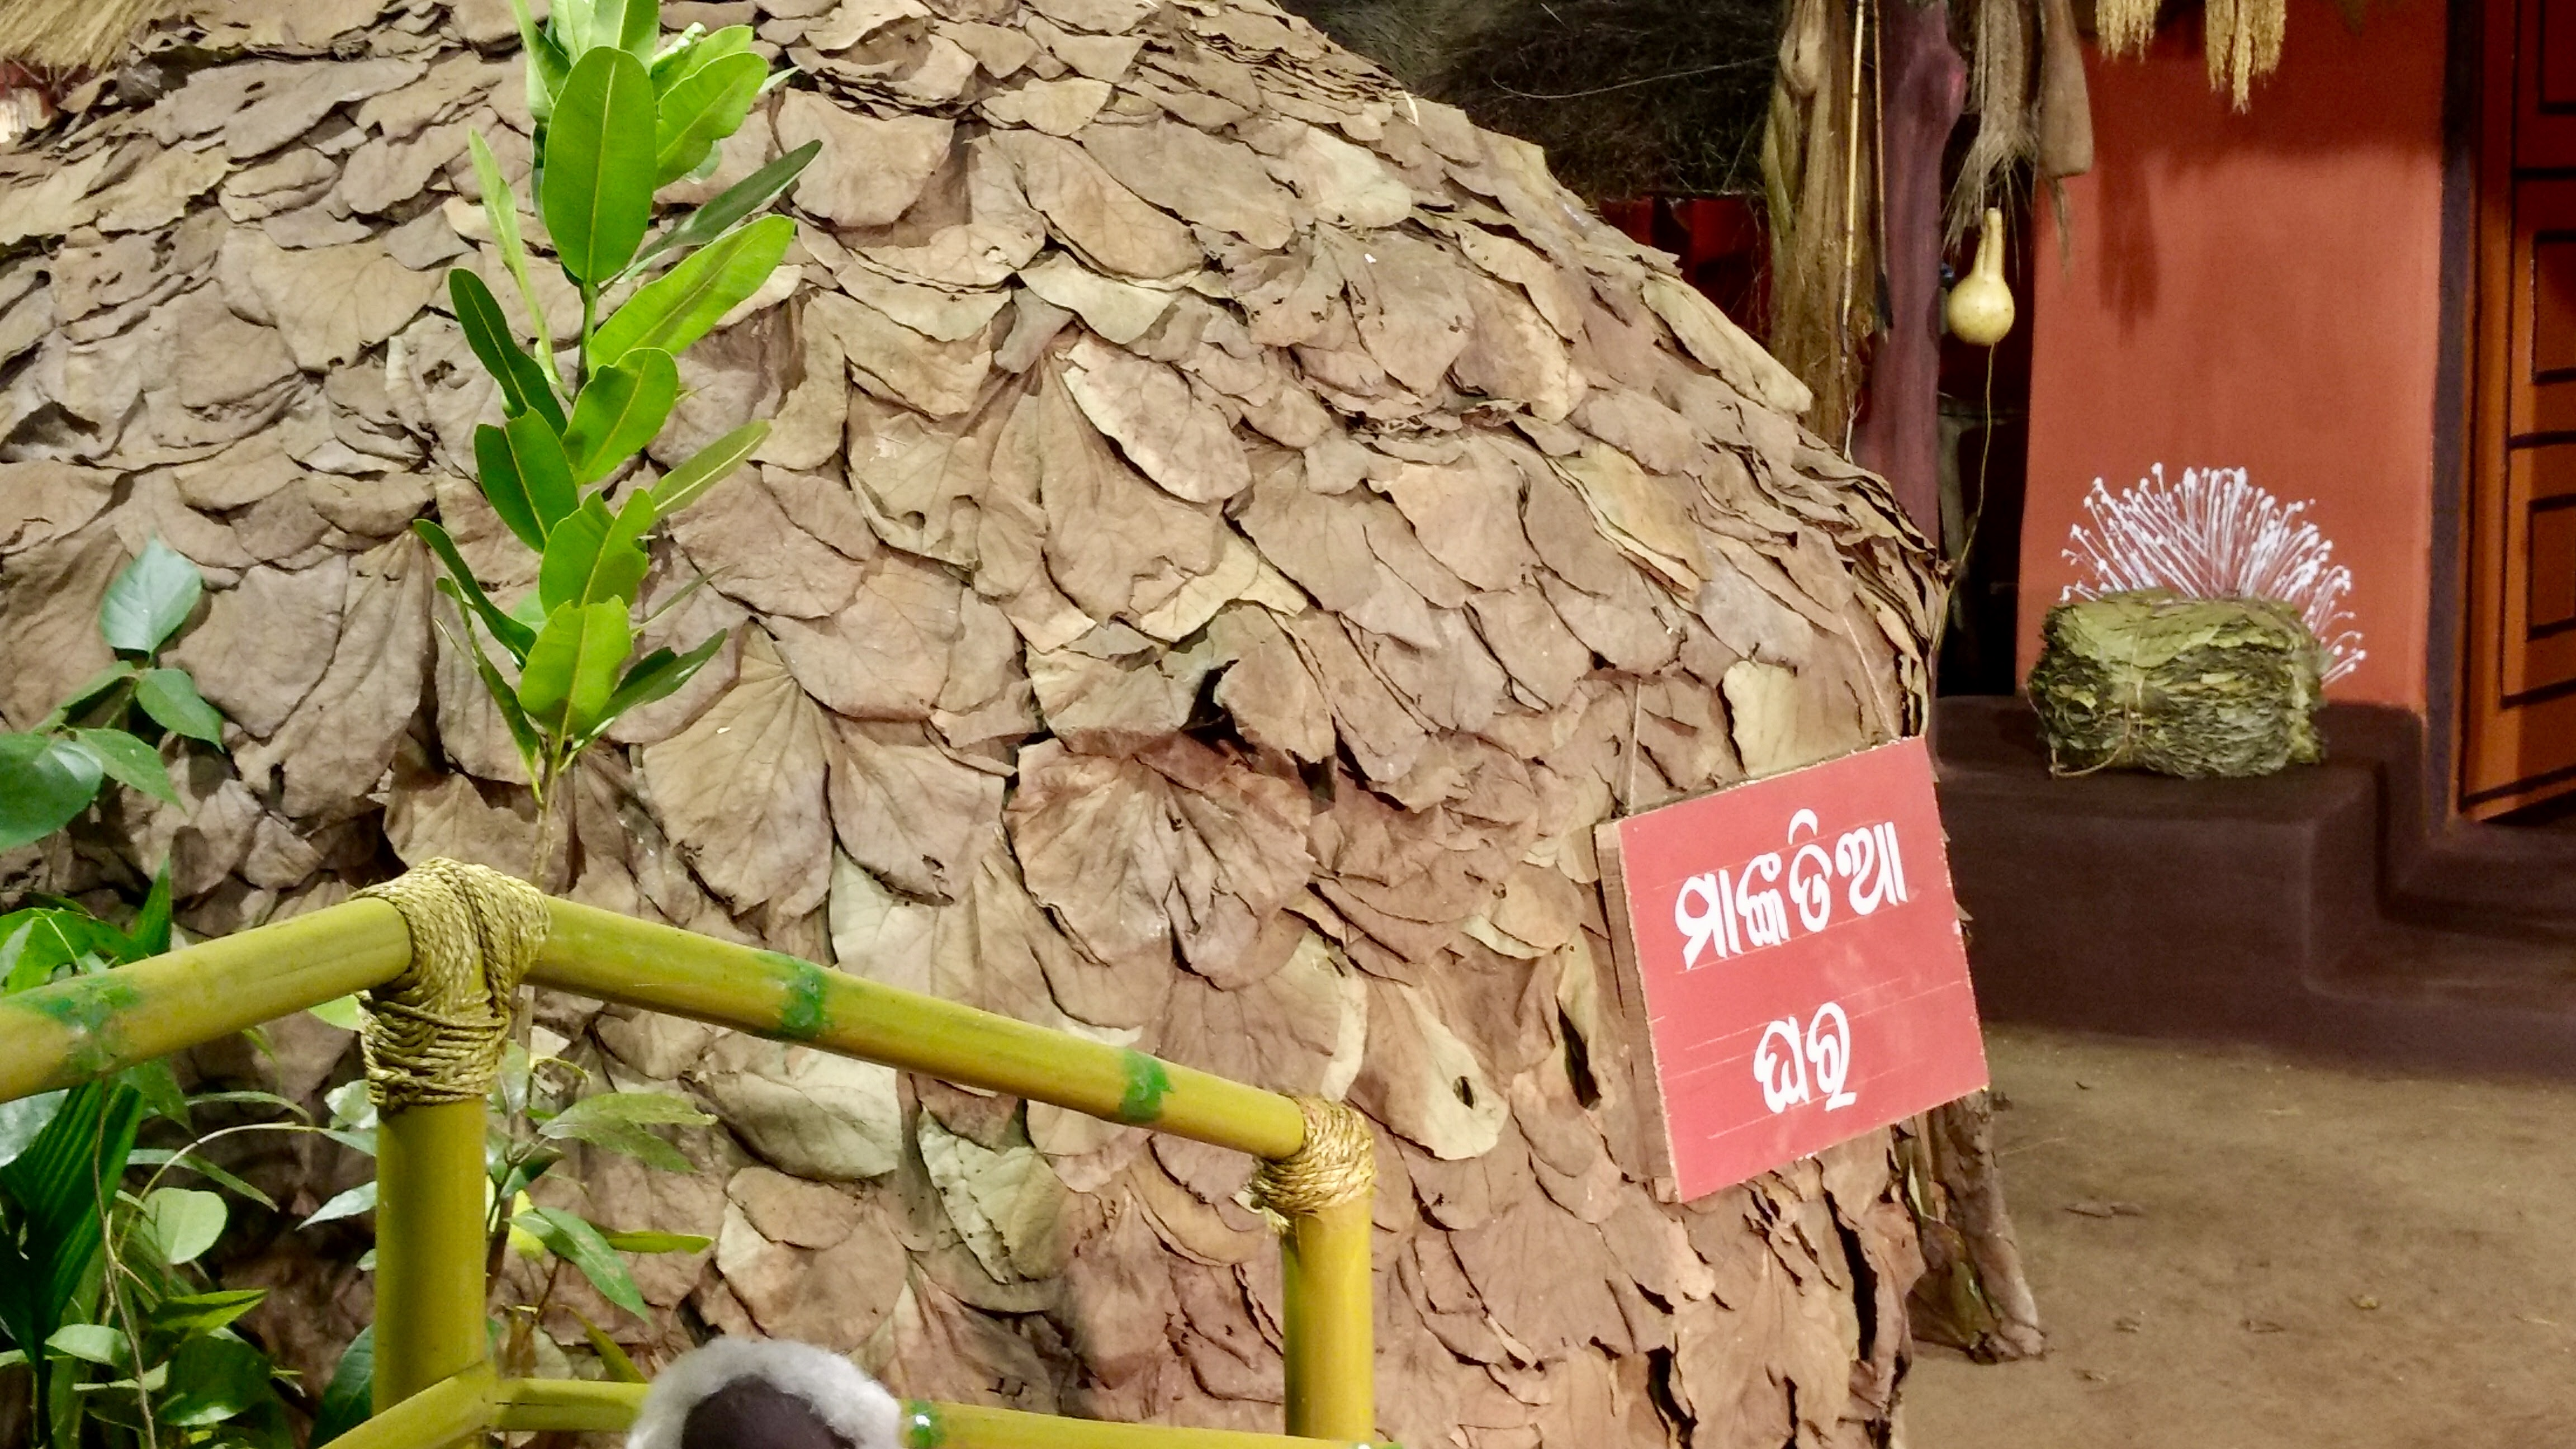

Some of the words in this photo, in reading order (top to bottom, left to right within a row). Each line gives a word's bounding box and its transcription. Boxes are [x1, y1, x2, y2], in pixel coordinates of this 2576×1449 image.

[1668, 799, 1919, 976] ମାଙ୍କଡିଆ
[1744, 992, 1865, 1126] ଘର